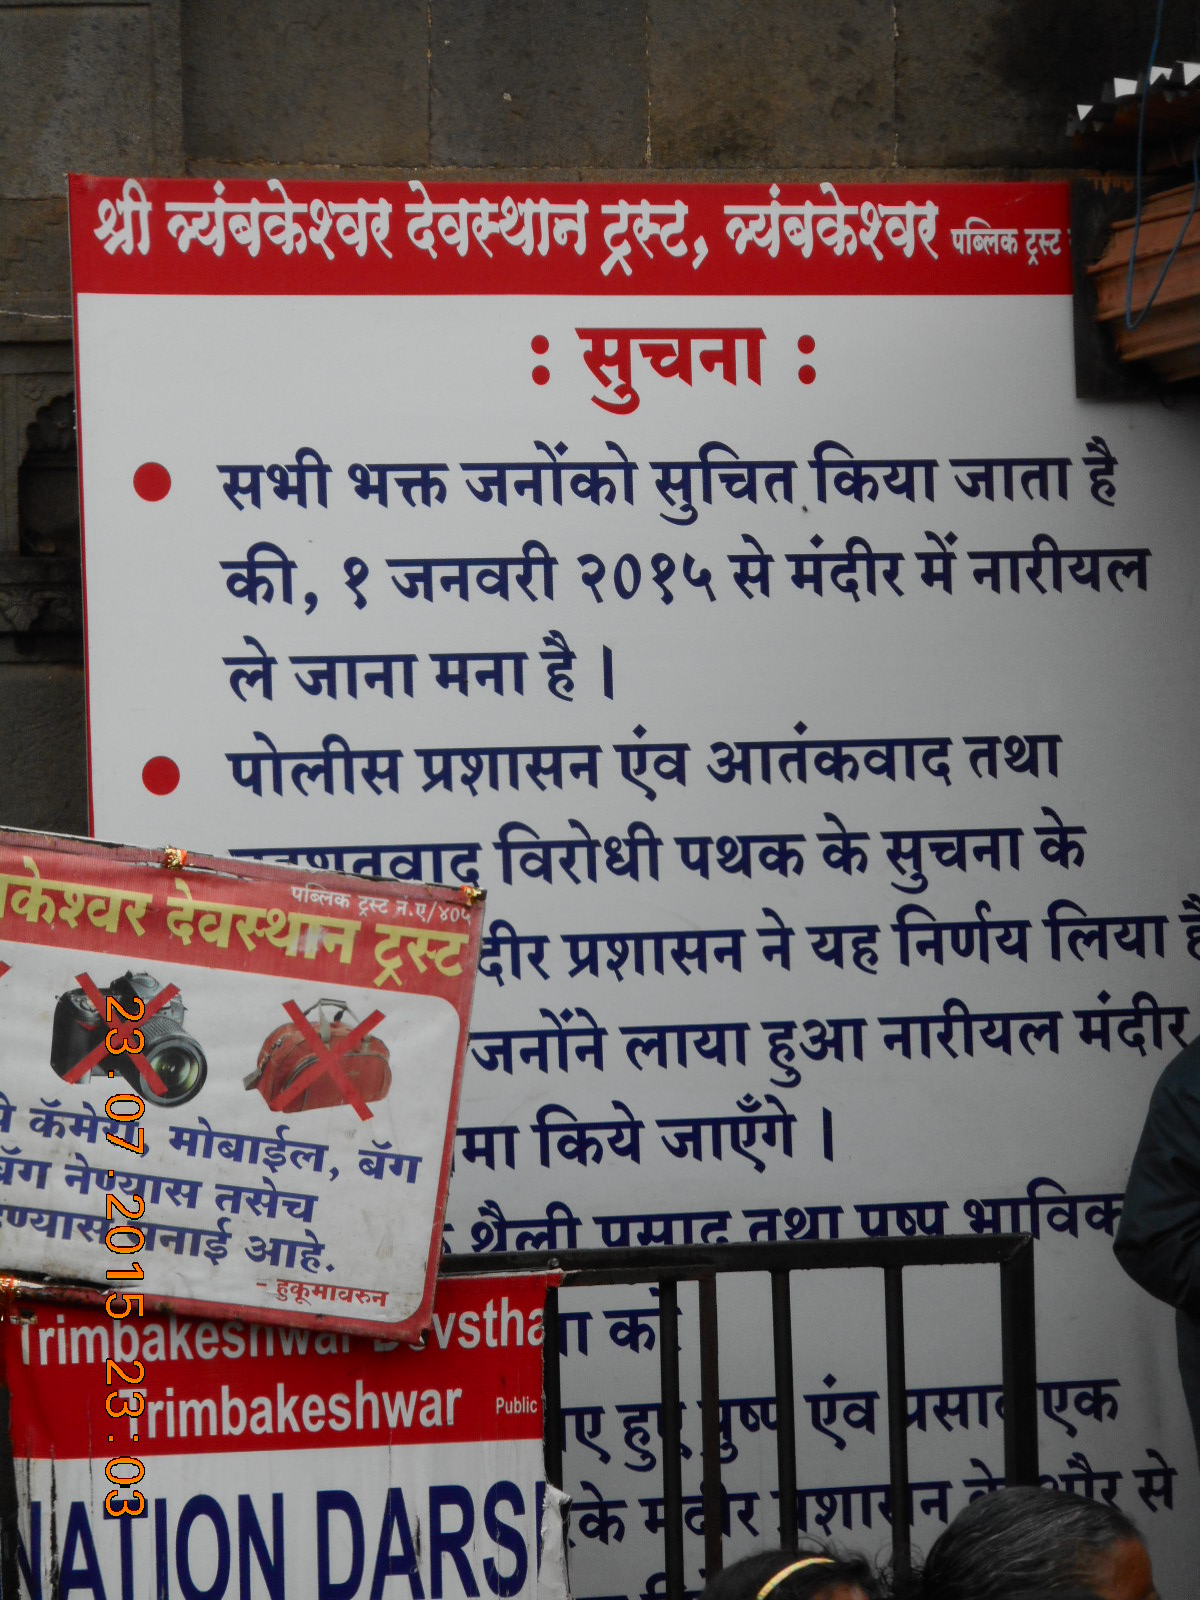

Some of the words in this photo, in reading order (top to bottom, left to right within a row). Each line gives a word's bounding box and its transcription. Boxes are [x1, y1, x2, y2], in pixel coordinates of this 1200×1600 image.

[82, 173, 158, 260] श्री
[158, 167, 403, 265] त्र्यंबकेश्वर
[388, 165, 597, 270] देवस्थान
[588, 183, 715, 277] ट्रस्ट,
[708, 163, 960, 277] त्र्यंबकेश्वर
[946, 210, 1026, 268] पब्लिक
[1022, 223, 1061, 266] ट्रस्ट
[570, 305, 772, 427] सुचना
[212, 442, 339, 521] सभी
[344, 458, 455, 513] भक्त
[447, 427, 645, 512] जनोंको
[645, 428, 812, 532] सुचित
[801, 439, 939, 511] किया
[949, 456, 1071, 508] जाता
[1062, 423, 1130, 515] है
[220, 544, 305, 611] की
[329, 543, 379, 620] १
[382, 539, 558, 605] जनवरी
[574, 542, 716, 608] २0१५
[721, 534, 779, 608] से
[784, 534, 910, 605] मंदीर
[887, 520, 967, 602] में
[962, 522, 1162, 600] नारीयल
[213, 627, 285, 710] ले
[287, 640, 422, 708] जाना
[426, 647, 533, 702] मना
[223, 731, 401, 800] पोलीस
[415, 732, 602, 804] प्रशासन
[608, 708, 697, 814] एंव
[699, 715, 961, 793] आतंकवाद
[960, 726, 1065, 787] तथा
[0, 844, 155, 943] केश्वर
[150, 869, 371, 968] देवस्थान
[282, 867, 355, 914] पब्लिक
[355, 889, 395, 920] ट्रस्ट
[389, 893, 433, 928] नं.ए
[367, 915, 474, 1003] ट्रस्ट
[427, 901, 480, 933] ४०५
[470, 913, 558, 990] दीर
[494, 818, 665, 887] विरोधी
[551, 914, 755, 988] प्रशासन
[673, 821, 820, 888] पथक
[742, 889, 797, 978] ने
[809, 798, 876, 880] के
[802, 919, 887, 977] यह
[872, 818, 1028, 902] सुचना
[889, 897, 1030, 971] निर्णय
[1016, 794, 1096, 876] के
[1039, 895, 1174, 969] लिया
[458, 1000, 611, 1077] जनोंने
[619, 1013, 758, 1083] लाया
[760, 1011, 871, 1092] हुआ
[880, 997, 1060, 1065] नारीयल
[1068, 987, 1195, 1061] मंदीर
[0, 1203, 116, 1248] ण्यास
[21, 1095, 142, 1150] कॅमेरा
[100, 1085, 148, 1163] 07
[98, 1190, 151, 1332] 2015
[50, 1148, 205, 1214] नेण्यास
[120, 1215, 242, 1268] पनाई
[163, 1107, 337, 1180] मोबाईल
[212, 1169, 327, 1233] तसेच
[237, 1226, 340, 1279] आहे.
[271, 1271, 394, 1315] हुकूमावरुन
[356, 1128, 429, 1189] बॅग
[419, 1295, 546, 1356] vstha
[453, 1121, 523, 1174] मा
[461, 1197, 585, 1258] थैली
[527, 1098, 646, 1174] किये
[598, 1198, 734, 1255] प्रसाद
[657, 1087, 806, 1185] जाएँगे
[740, 1205, 843, 1244] तथा
[854, 1195, 946, 1240] पष्प
[962, 1168, 1136, 1239] भाविक
[96, 1357, 154, 1522] 23:03
[110, 1371, 467, 1444] Trimbakeshwar
[489, 1384, 543, 1426] Public
[610, 1394, 696, 1475] हुए
[693, 1383, 796, 1470] पुष्प
[792, 1365, 886, 1457] एंव
[889, 1376, 1009, 1432] प्रसाद
[1032, 1371, 1129, 1441] एक
[1124, 1432, 1183, 1517] से
[9, 1484, 292, 1599] NATION
[310, 1473, 541, 1600] DARS